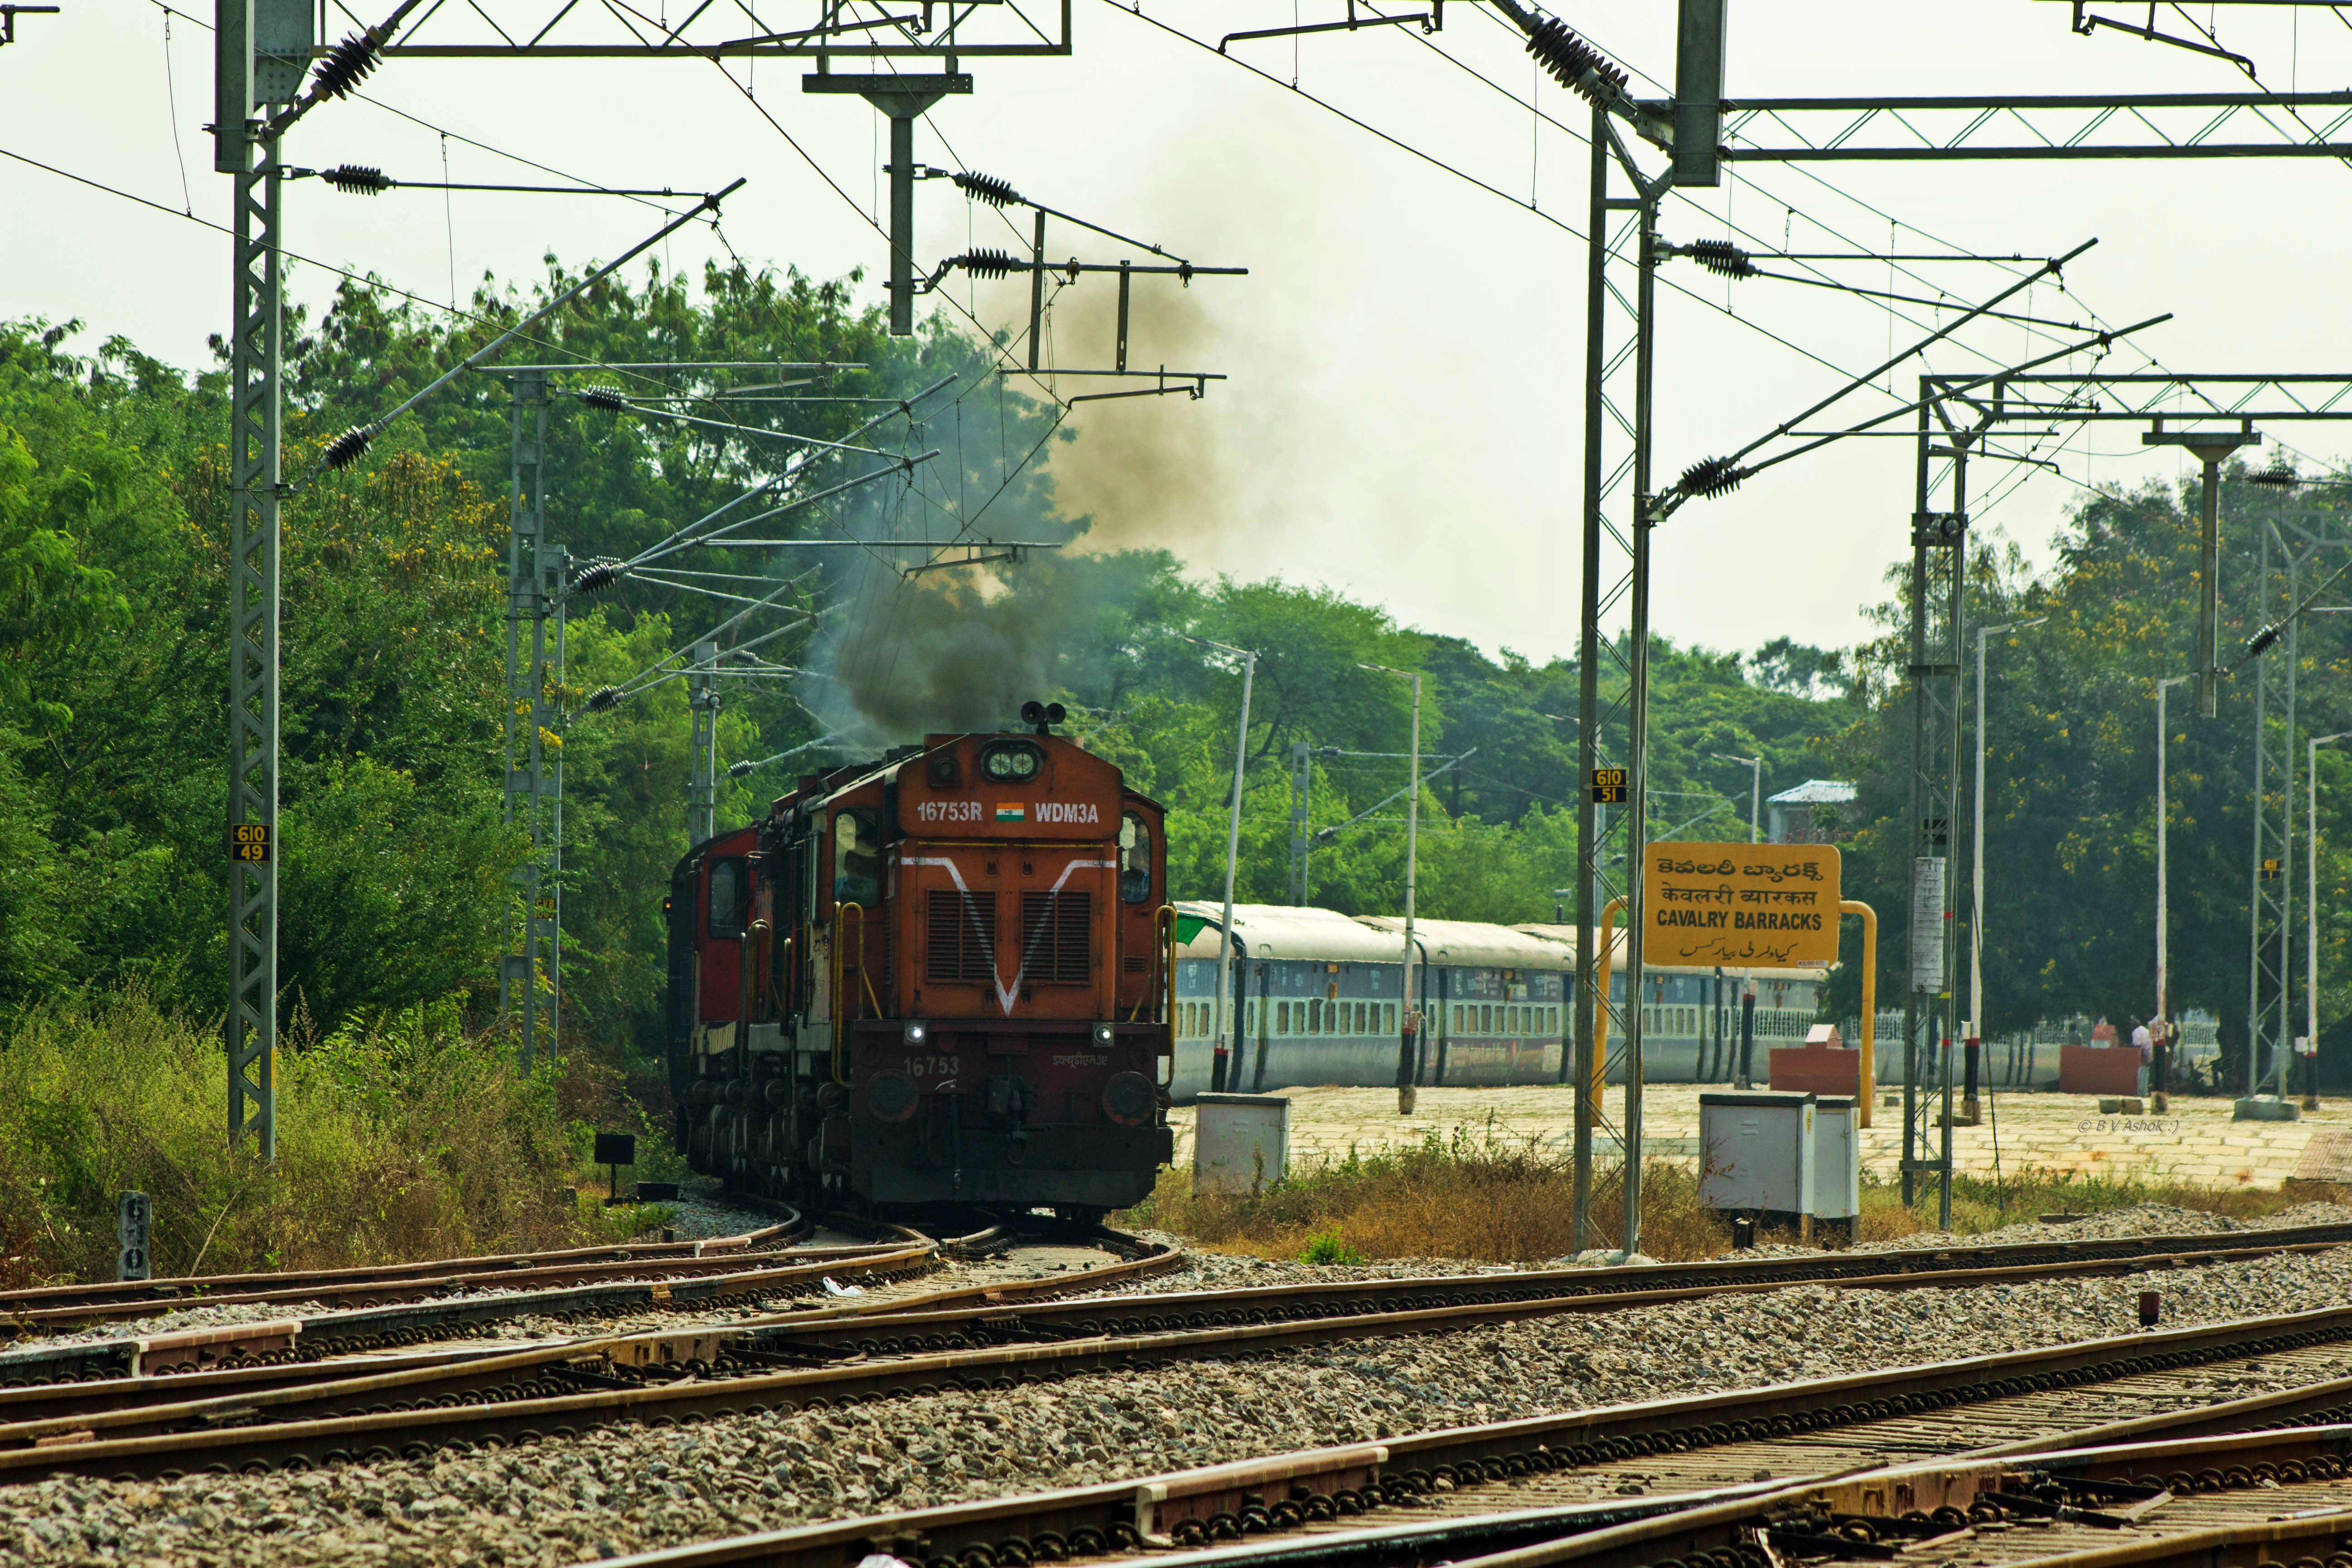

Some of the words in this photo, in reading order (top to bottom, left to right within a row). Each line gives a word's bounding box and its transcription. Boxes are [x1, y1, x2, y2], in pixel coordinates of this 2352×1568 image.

[916, 799, 987, 822] 16753R
[1034, 798, 1100, 828] WDM3A
[1655, 854, 1739, 876] కెవలరీ
[1741, 860, 1827, 885] బ్యారక్స్
[1659, 875, 1736, 906] केवलरी
[1739, 887, 1819, 906] ब्यारकस
[1655, 907, 1730, 931] CAVALRY
[1731, 910, 1823, 932] BARRACKS
[901, 1051, 961, 1079] 16753
[1050, 1047, 1110, 1068] डब्ल्यूडीएम3ए